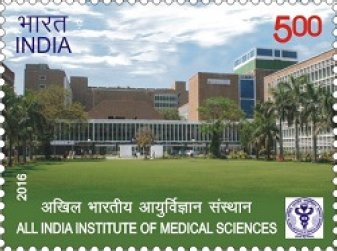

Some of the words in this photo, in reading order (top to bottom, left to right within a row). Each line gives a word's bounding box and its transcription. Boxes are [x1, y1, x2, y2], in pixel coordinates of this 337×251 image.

[17, 7, 71, 38] भारत
[271, 10, 325, 45] 500
[10, 31, 75, 59] INDIA
[13, 172, 30, 204] 2016
[40, 196, 82, 216] अखि‍ल
[85, 193, 135, 217] भारतीय
[138, 191, 205, 220] आयुर्विज्ञान
[203, 194, 256, 217] संस्थान
[14, 220, 38, 235] ALL
[39, 220, 73, 237] INDIA
[72, 217, 140, 237] INSTITUTE
[137, 220, 159, 239] OF
[156, 219, 215, 238] MEDICAL
[214, 219, 280, 239] SCIENCES